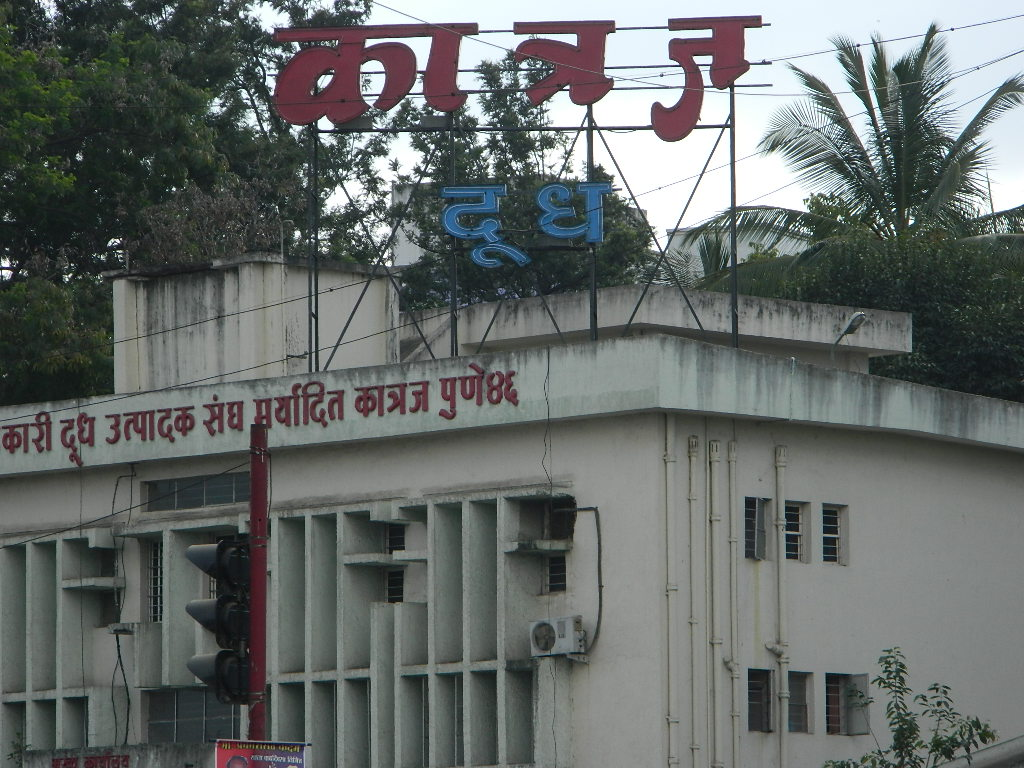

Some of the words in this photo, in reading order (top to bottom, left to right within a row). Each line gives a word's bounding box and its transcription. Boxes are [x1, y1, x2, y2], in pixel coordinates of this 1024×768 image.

[267, 5, 770, 150] कात्रज
[438, 171, 611, 282] दूध
[0, 408, 55, 459] कारी
[59, 404, 101, 470] दूध
[99, 403, 198, 450] उत्पादक
[197, 392, 248, 440] संघ
[247, 376, 349, 435] मर्यादित
[347, 375, 431, 422] कात्रज
[433, 364, 524, 423] पुणे४६